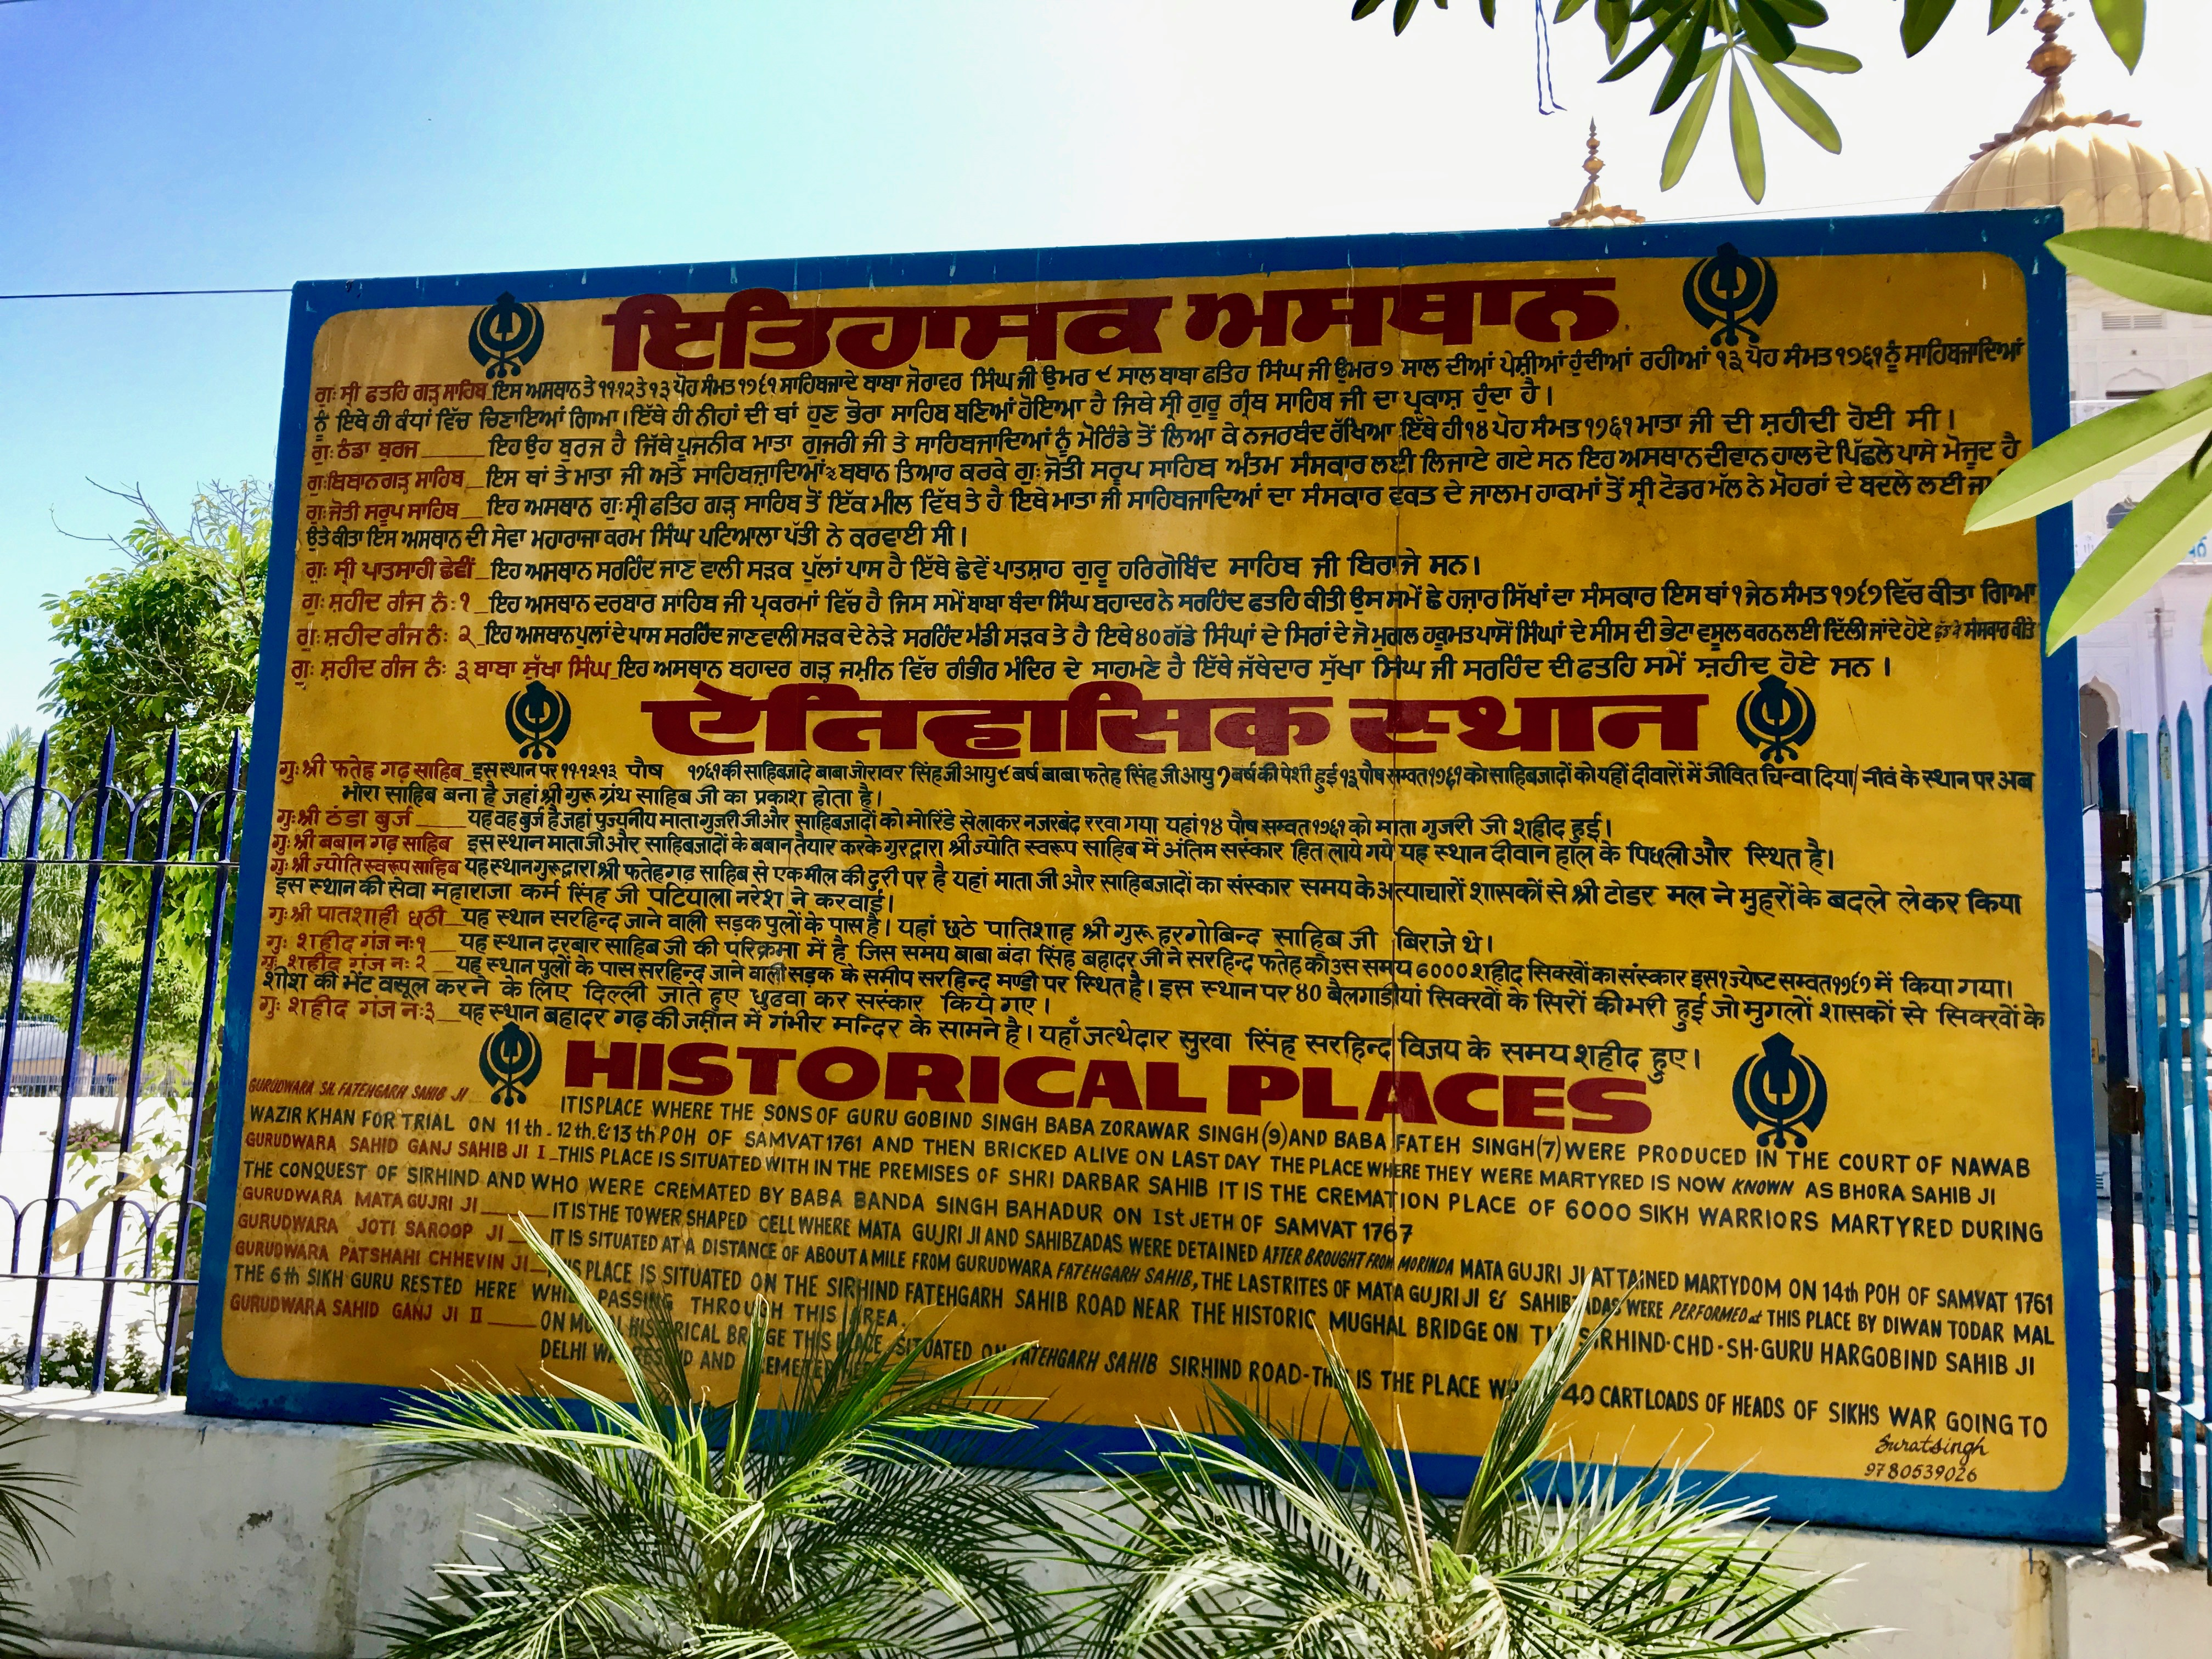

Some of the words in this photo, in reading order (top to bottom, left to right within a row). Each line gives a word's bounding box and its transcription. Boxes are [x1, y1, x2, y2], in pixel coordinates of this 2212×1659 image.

[750, 786, 810, 811] प्रकाश
[814, 760, 850, 782] बाबा
[810, 782, 855, 813] होता
[857, 781, 875, 809] है
[848, 758, 908, 783] जोरावर
[908, 759, 944, 792] सिंह
[942, 759, 963, 785] जी
[962, 762, 1000, 790] आयु
[996, 763, 1013, 786] ੯
[1009, 759, 1041, 784] बर्ष
[1040, 762, 1082, 789] बाबा
[1081, 760, 1125, 792] फतेह
[1122, 760, 1161, 792] सिंह
[1158, 761, 1181, 787] जी
[1181, 764, 1217, 793] आयु
[1215, 763, 1232, 792] ੭
[1229, 759, 1260, 787] बर्ष
[1256, 760, 1282, 787] क‍ी
[1277, 758, 1315, 787] पेशी
[1311, 758, 1340, 797] हुई
[1338, 762, 1361, 793] ੧੩
[1356, 755, 1386, 791] पौष
[1385, 764, 1429, 789] सम्वत
[1428, 763, 1463, 794] ੧੭६੧
[1462, 758, 1489, 788] केा
[1488, 759, 1573, 795] साहिबजादों
[1573, 758, 1598, 789] को
[1595, 759, 1631, 792] यहीं
[1630, 757, 1686, 793] दीवारों
[1685, 757, 1703, 785] में
[1703, 759, 1760, 789] जीवित
[1758, 761, 1813, 792] चिन्वा
[1813, 761, 1855, 794] दिया
[1859, 761, 1901, 794] नीवं
[1896, 760, 1922, 792] के
[1919, 765, 1973, 794] स्थान
[1970, 768, 1996, 795] पर
[1995, 768, 2038, 794] अब
[231, 1260, 268, 1284] THE
[241, 1155, 278, 1181] THE
[258, 952, 280, 971] गुः
[256, 990, 284, 1022] गुः
[246, 1100, 304, 1127] WAZIR
[222, 1289, 328, 1321] GURUDWARA
[268, 1262, 283, 1286] 6
[264, 904, 289, 930] गुः
[262, 932, 291, 956] गुः
[268, 856, 290, 876] गुः
[269, 830, 294, 857] गुः
[247, 1074, 319, 1098] GURUDWARA
[232, 1234, 334, 1262] GURUDWARA
[258, 964, 311, 994] शीश
[273, 804, 298, 833] गुः
[235, 1210, 343, 1239] GURUDWARA
[273, 876, 308, 900] इस
[281, 1262, 302, 1289] th
[243, 1128, 341, 1153] GURUDWARA
[238, 1183, 346, 1206] GURUDWARA
[289, 851, 314, 876] श्री
[289, 897, 314, 926] श्री
[292, 827, 318, 854] श्री
[297, 800, 324, 828] श्री
[283, 950, 345, 975] शहीद
[284, 992, 354, 1024] शहीद
[275, 1157, 370, 1184] CONQUEST
[291, 927, 359, 955] शहीद
[304, 1265, 347, 1291] SIKH
[311, 969, 341, 994] क‍ी
[314, 1078, 341, 1099] SH.
[303, 1104, 358, 1131] KHAN
[308, 874, 357, 899] स्थान
[310, 851, 364, 877] ज्योति
[318, 831, 368, 854] बबान
[323, 803, 372, 830] ठंडा
[329, 1295, 381, 1321] SAHID
[314, 902, 401, 933] पातशाही
[341, 968, 376, 996] भेंट
[345, 950, 389, 973] गंज
[348, 1267, 396, 1295] GURU
[357, 873, 388, 901] की
[335, 1079, 413, 1103] FATEHGARH
[347, 1133, 402, 1158] SAHID
[358, 927, 392, 952] गंज
[354, 1212, 398, 1239] JOTI
[356, 991, 400, 1021] गंज
[351, 1188, 405, 1212] MATA
[360, 1107, 397, 1131] FOR
[337, 1242, 423, 1270] PATSHAHI
[368, 832, 402, 856] गढ़
[373, 1162, 401, 1185] OF
[363, 855, 412, 876] स्वरूप
[372, 804, 418, 834] बुर्ज
[388, 953, 412, 974] नः
[392, 933, 415, 952] नः
[375, 974, 433, 1002] वसूल
[385, 875, 429, 905] सेवा
[399, 1001, 425, 1023] नः
[390, 1299, 437, 1324] GANJ
[413, 932, 428, 956] ੧
[413, 950, 431, 975] 2
[404, 899, 449, 932] छ्ठी
[400, 829, 457, 856] साहिब
[399, 1109, 459, 1135] TRIAL
[408, 1081, 452, 1103] SAHIB
[404, 1190, 456, 1214] GUJRI
[423, 1000, 438, 1027] ੩
[405, 1135, 456, 1159] GANJ
[398, 1271, 467, 1300] RESTED
[410, 855, 464, 882] साहिब
[402, 1216, 475, 1243] SAROOP
[403, 1164, 481, 1191] SIRHIND
[440, 1301, 462, 1324] JI
[448, 1084, 471, 1104] JI
[432, 974, 493, 1001] करने
[425, 1246, 507, 1273] CHHEVIN
[452, 953, 483, 975] यह
[458, 1193, 479, 1215] JI
[454, 1001, 487, 1029] यह
[430, 882, 515, 906] महाराजा
[455, 929, 491, 955] यह
[455, 905, 494, 930] यह
[462, 855, 489, 882] यह
[467, 1302, 486, 1325] II
[461, 806, 494, 833] यह
[464, 831, 496, 856] इस
[453, 1137, 511, 1161] SAHIB
[467, 1113, 501, 1134] ON
[470, 1274, 518, 1302] HERE
[484, 1220, 506, 1244] JI
[483, 1167, 527, 1190] AND
[494, 807, 520, 832] वह
[483, 957, 536, 976] स्थान
[496, 974, 524, 1000] के
[488, 855, 534, 880] स्थान
[503, 1114, 522, 1136] 11
[487, 1000, 543, 1024] स्थान
[491, 930, 544, 953] स्थान
[508, 1251, 531, 1274] JI
[493, 907, 547, 930] स्थान
[495, 832, 546, 855] स्थान
[511, 1140, 532, 1161] JI
[518, 804, 547, 832] बुर्ज
[522, 1114, 546, 1139] th
[517, 877, 563, 904] कर्म
[534, 1141, 546, 1164] I
[524, 975, 575, 1004] लिए
[537, 1306, 567, 1335] ON
[544, 803, 563, 833] है
[527, 1169, 580, 1196] WHO
[535, 952, 574, 982] पुलों
[548, 1226, 567, 1249] IT
[550, 1198, 572, 1221] IT
[554, 1119, 574, 1141] 12
[538, 1335, 590, 1364] DELHI
[546, 834, 585, 855] माता
[533, 856, 599, 882] गुरूद्वारा
[558, 1091, 578, 1115] IT
[544, 933, 603, 955] दरबार
[556, 1143, 597, 1167] THIS
[560, 806, 594, 833] जहां
[542, 1003, 612, 1033] बहादर
[567, 1226, 588, 1248] IS
[569, 1200, 588, 1222] IS
[573, 1119, 593, 1141] th
[572, 953, 596, 979] के
[546, 904, 625, 936] सरहिन्द
[577, 1092, 595, 1118] IS
[565, 879, 613, 910] सिंह
[584, 830, 606, 855] जी
[586, 1200, 622, 1224] THE
[596, 855, 623, 884] श्री
[583, 1256, 638, 1288] PLACE
[580, 977, 652, 1008] दिल्ली
[596, 958, 637, 980] पास
[584, 1172, 649, 1199] WERE
[594, 1094, 645, 1119] PLACE
[585, 1228, 659, 1255] SITUATED
[603, 827, 642, 856] और
[612, 1122, 634, 1144] 13
[592, 804, 660, 833] पुज्यनीय
[596, 1144, 656, 1169] PLACE
[612, 880, 643, 909] जी
[609, 1007, 650, 1035] गढ़
[602, 933, 663, 961] साहिब
[594, 1284, 681, 1315] PASSING
[621, 904, 665, 932] जाने
[634, 1121, 657, 1145] th
[636, 1259, 658, 1290] IS
[622, 1203, 685, 1227] TOWER
[620, 853, 697, 887] फतेहगढ़
[649, 1005, 684, 1034] क‍ी
[655, 1148, 679, 1171] IS
[658, 1232, 682, 1256] AT
[636, 956, 709, 986] सरहिन्द
[660, 932, 691, 960] जी
[656, 1122, 698, 1148] POH
[651, 979, 706, 1008] जाते
[658, 810, 700, 831] माता
[648, 1098, 715, 1122] WHERE
[642, 830, 730, 859] साहिबजादों
[664, 907, 713, 937] वाली
[644, 879, 735, 911] पटियाला
[681, 1233, 701, 1259] A
[652, 1177, 752, 1205] CREMATED
[660, 1263, 744, 1293] SITUATED
[691, 932, 721, 961] की
[680, 1008, 741, 1037] जम़ीन
[696, 1346, 738, 1378] AND
[685, 1205, 750, 1233] SHAPED
[703, 1125, 736, 1149] OF
[698, 807, 742, 834] गुजरी
[677, 1149, 763, 1175] SITUATED
[704, 984, 743, 1013] हुए
[697, 857, 751, 888] साहिब
[708, 957, 747, 985] जाने
[685, 1293, 786, 1323] THROUGH
[717, 1099, 757, 1124] THE
[712, 911, 763, 939] सड़क
[729, 828, 749, 856] के
[700, 1234, 780, 1262] DISTANCE
[740, 807, 763, 831] जी
[741, 1005, 766, 1034] में
[733, 881, 785, 912] नरेश
[751, 856, 771, 886] से
[721, 933, 803, 963] परिक्रमा
[748, 1269, 780, 1296] ON
[745, 960, 788, 988] वाली
[755, 1183, 786, 1207] BY
[749, 834, 794, 859] बबान
[761, 804, 791, 835] और
[757, 1210, 797, 1237] CELL
[746, 985, 810, 1012] धुढवा
[763, 907, 803, 939] पुलों
[741, 1126, 825, 1153] SAMVAT
[770, 864, 804, 885] एक
[763, 1153, 812, 1178] WITH
[761, 1101, 815, 1127] SONS
[779, 1240, 804, 1265] OF
[765, 1008, 829, 1037] गंभीर
[787, 882, 811, 910] ने
[781, 1269, 823, 1297] THE
[786, 961, 837, 990] सड़क
[803, 908, 825, 936] के
[791, 1300, 839, 1327] THIS
[792, 828, 839, 861] तैयार
[803, 933, 829, 963] में
[788, 1184, 848, 1211] BABA
[803, 860, 840, 891] मील
[811, 1155, 834, 1178] IN
[797, 1212, 855, 1239] WHERE
[814, 1104, 842, 1127] OF
[802, 1242, 859, 1267] ABOUT
[810, 988, 852, 1012] क‍र
[792, 805, 879, 836] साहिबजादों
[829, 931, 851, 968] है
[825, 913, 865, 939] पास
[825, 1131, 865, 1154] 1761
[838, 961, 860, 985] के
[812, 887, 888, 918] करवाई
[840, 860, 867, 890] की
[833, 1156, 875, 1181] THE
[839, 832, 883, 860] करके
[822, 1274, 901, 1303] SIRHIND
[857, 1245, 871, 1269] A
[828, 1012, 906, 1042] मन्दिर
[843, 1105, 901, 1128] GURU
[864, 911, 884, 942] है
[851, 936, 900, 965] जिस
[855, 1215, 905, 1243] MATA
[865, 862, 900, 892] दुरी
[556, 1034, 1215, 1117] HISTORICAL
[851, 1186, 926, 1214] BANDA
[861, 963, 917, 990] समीप
[870, 1246, 910, 1271] MILE
[852, 988, 929, 1017] संस्कार
[879, 804, 905, 832] को
[867, 1132, 917, 1155] AND
[883, 838, 946, 863] गुरद्वारा
[900, 865, 930, 895] पर
[894, 910, 939, 943] यहां
[905, 1011, 935, 1041] के
[876, 1158, 973, 1186] PREMISES
[899, 943, 953, 965] समय
[904, 803, 958, 836] मोरिंडे
[911, 1248, 954, 1274] FROM
[908, 1218, 964, 1248] GUJRI
[902, 1108, 975, 1133] GOBIND
[929, 859, 951, 899] है
[919, 1133, 978, 1160] THEN
[902, 1279, 1007, 1311] FATEHGARH
[916, 964, 996, 994] सरहिन्द
[946, 830, 974, 860] श्री
[939, 911, 981, 943] छठे
[936, 989, 997, 1017] किये
[933, 1193, 1001, 1221] SINGH
[957, 805, 978, 833] से
[934, 1014, 1003, 1049] सामने
[951, 863, 990, 899] यहां
[952, 943, 995, 967] बाबा
[965, 1223, 984, 1247] JI
[975, 1164, 1002, 1188] OF
[970, 833, 1023, 862] ज्योति
[975, 811, 1023, 835] लाकर
[981, 1224, 1019, 1249] AND
[953, 1252, 1056, 1283] GURUDWARA
[979, 1110, 1042, 1135] SINGH
[991, 866, 1034, 895] माता
[995, 941, 1032, 967] बंदा
[1002, 1014, 1025, 1054] है
[994, 967, 1040, 995] मण्डी
[997, 994, 1041, 1019] गए
[983, 1137, 1069, 1164] BRICKED
[981, 913, 1078, 948] पातिशाह
[1006, 1166, 1056, 1192] SHRI
[1013, 1284, 1074, 1316] SAHIB
[1034, 863, 1062, 894] जी
[1022, 837, 1081, 860] स्वरूप
[1022, 807, 1084, 838] नजरबंद
[1041, 970, 1070, 998] पर
[1002, 1197, 1109, 1227] BAHADUR
[1034, 943, 1079, 974] सिंह
[1035, 1014, 1082, 1054] यहाँ
[1042, 1114, 1097, 1137] BABA
[1023, 1227, 1125, 1255] SAHIBZADAS
[1060, 861, 1099, 896] और
[1079, 912, 1111, 945] श्री
[1070, 967, 1127, 1005] स्थित
[1054, 1257, 1145, 1285] FATEHGARH
[1058, 1168, 1142, 1195] DARBAR
[1070, 1142, 1131, 1167] ALIVE
[1073, 1290, 1130, 1318] ROAD
[1082, 813, 1123, 834] ररवा
[1079, 947, 1139, 975] बहादर
[1080, 833, 1141, 866] साहिब
[1080, 1017, 1174, 1055] जत्थेदार
[1112, 1204, 1145, 1228] ON
[1101, 1344, 1162, 1380] SAHIB
[1108, 919, 1156, 948] गुरू
[1127, 967, 1148, 1008] है
[1124, 811, 1162, 836] गया
[1097, 865, 1193, 904] साहिबजादों
[1097, 1115, 1194, 1144] ZORAWAR
[1132, 1142, 1167, 1167] ON
[1136, 944, 1165, 973] जी
[1127, 1230, 1175, 1262] WERE
[1141, 836, 1163, 862] में
[1130, 1291, 1187, 1323] NEAR
[1141, 1262, 1195, 1289] SAHIB
[1149, 1201, 1189, 1230] Ist
[1165, 943, 1184, 972] ने